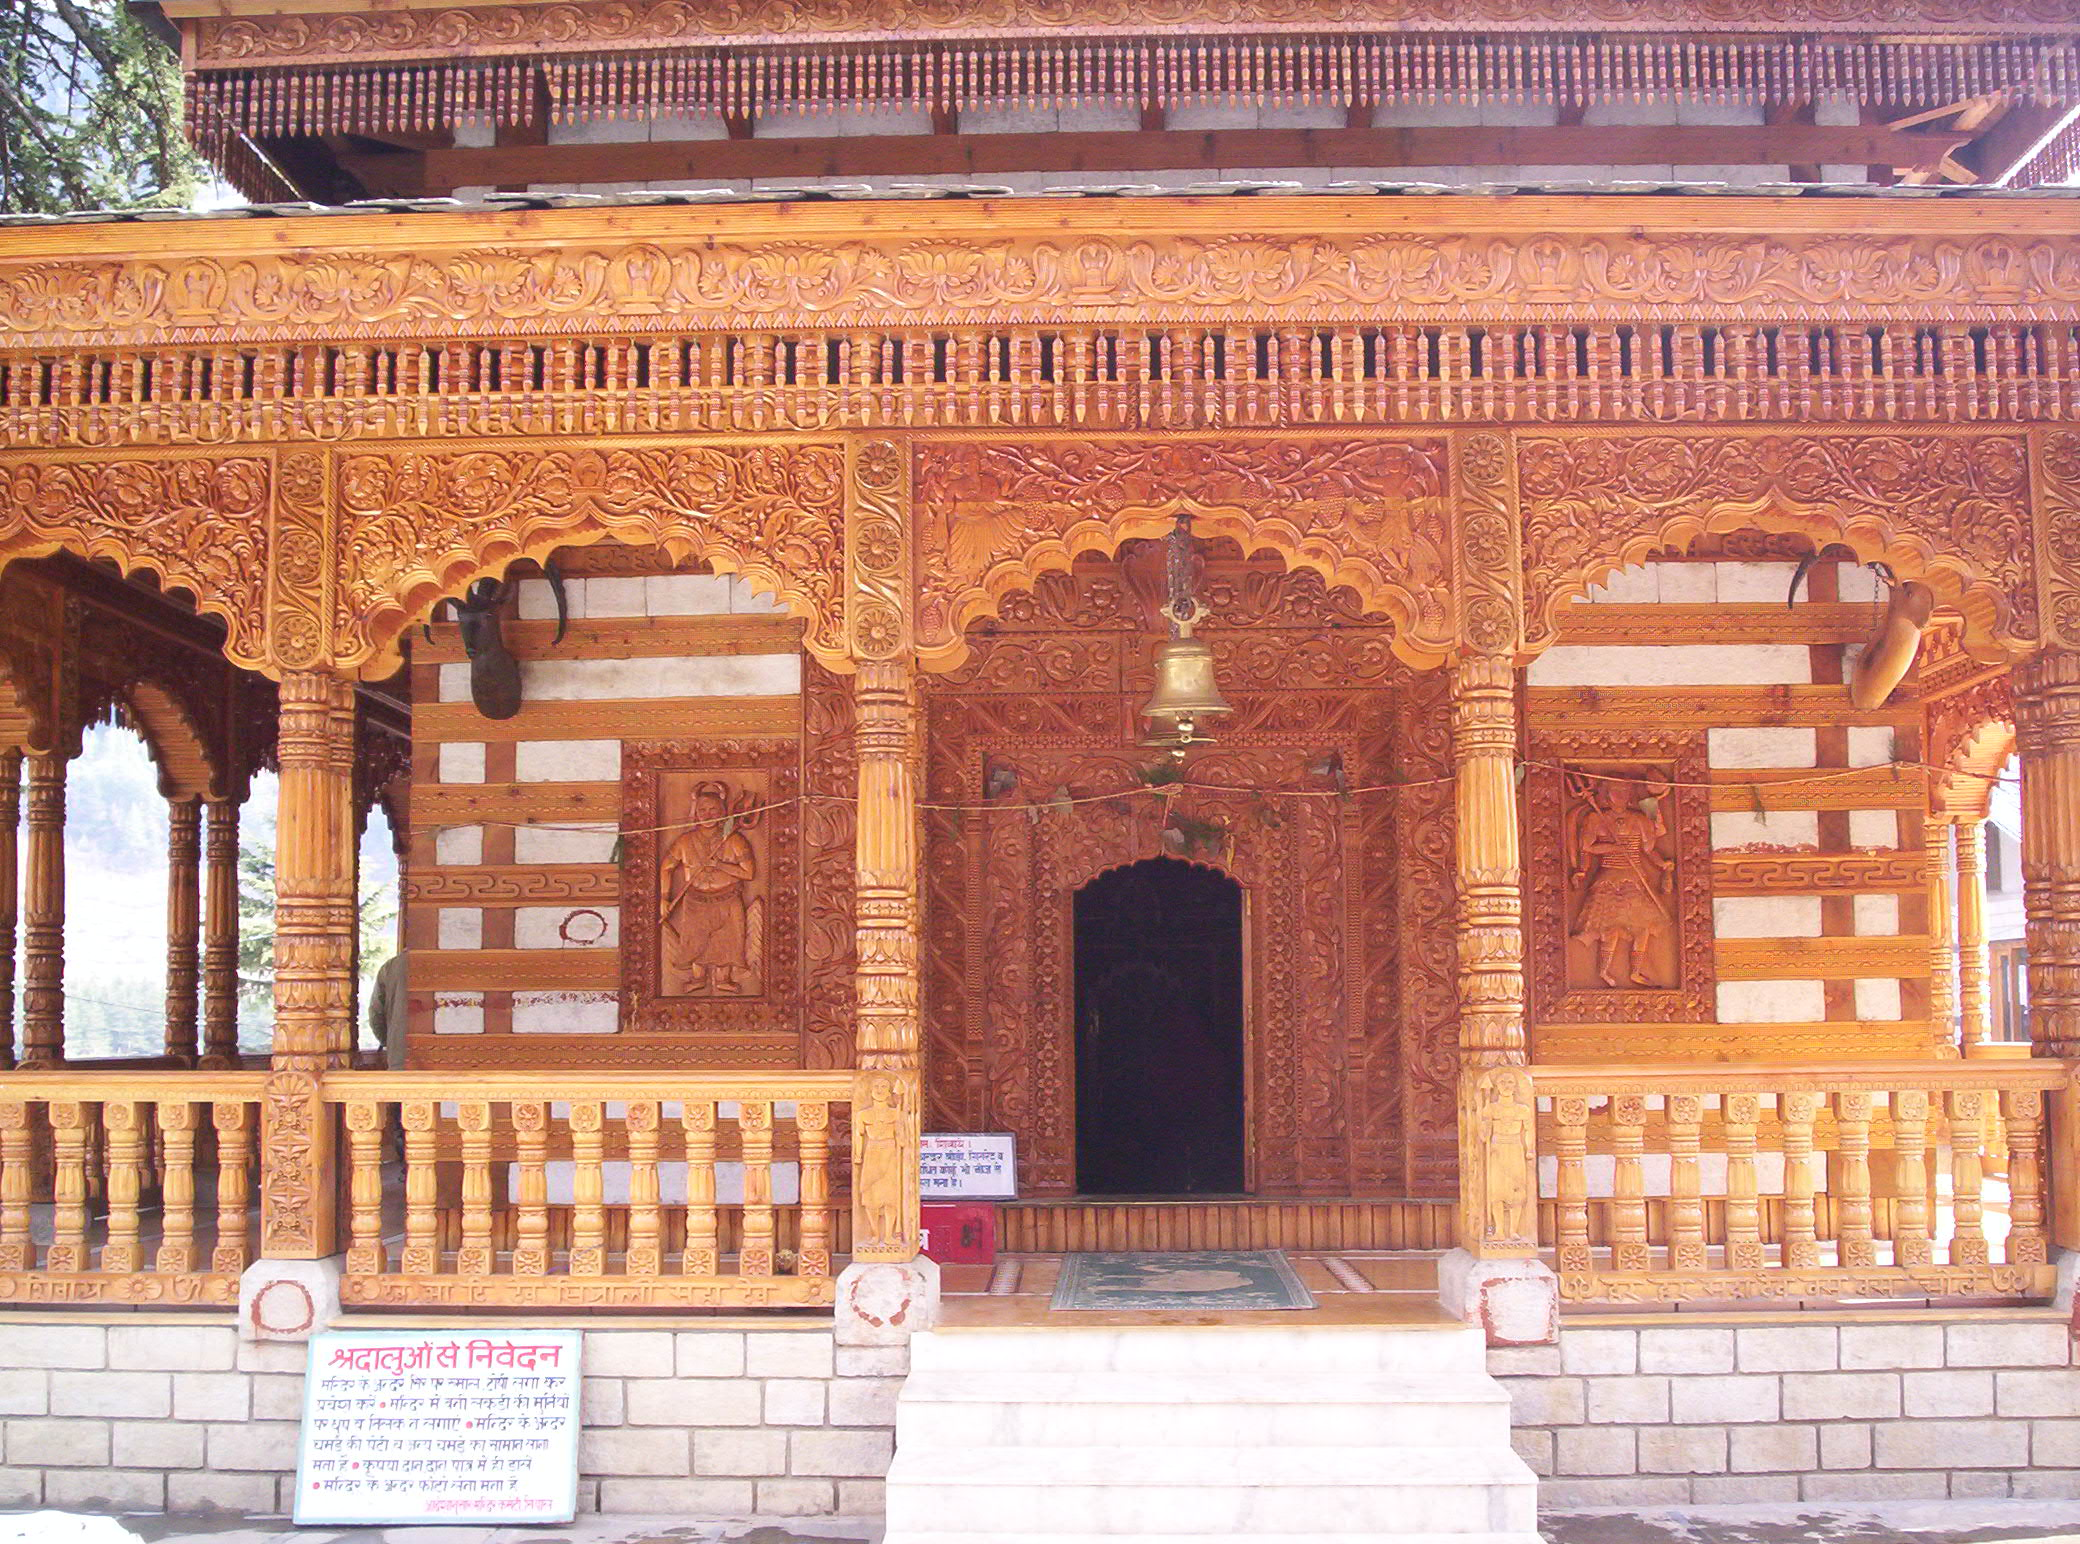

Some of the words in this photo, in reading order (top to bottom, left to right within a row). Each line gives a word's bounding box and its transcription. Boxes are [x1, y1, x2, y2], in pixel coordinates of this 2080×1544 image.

[329, 1337, 438, 1381] श्रदालुओं
[435, 1337, 461, 1372] से
[463, 1335, 566, 1375] निवेदन
[319, 1372, 359, 1395] मन्दिर
[356, 1370, 375, 1395] के
[369, 1377, 407, 1395] अन्दर
[483, 1369, 509, 1393] टोपी
[513, 1375, 542, 1393] लगा
[316, 1391, 354, 1413] प्रवेश
[387, 1389, 427, 1413] मन्दिर
[427, 1390, 442, 1415] मे
[443, 1389, 471, 1411] वती
[468, 1392, 515, 1414] लकडी
[509, 1389, 533, 1412] की
[529, 1389, 574, 1416] मुर्तिया
[309, 1417, 331, 1431] पर
[325, 1415, 354, 1440] धुप
[364, 1410, 409, 1433] तिलक
[422, 1412, 465, 1433] लगाएं
[471, 1409, 515, 1433] मन्दिर
[515, 1410, 533, 1432] के
[529, 1413, 568, 1433] अन्दर
[309, 1433, 346, 1455] घमंड
[343, 1431, 365, 1453] की
[363, 1433, 391, 1455] पेटी
[388, 1435, 406, 1452] व
[405, 1436, 435, 1455] अन्य
[433, 1432, 470, 1455] चमडे
[467, 1436, 489, 1455] का
[486, 1435, 525, 1454] सामान
[311, 1455, 337, 1472] मता
[333, 1453, 351, 1473] है
[361, 1455, 401, 1480] कृपया
[399, 1455, 425, 1476] दान
[423, 1457, 450, 1475] दान
[449, 1455, 477, 1474] पात्र
[475, 1453, 490, 1473] में
[487, 1452, 507, 1474] ही
[506, 1453, 535, 1473] डालें
[321, 1473, 363, 1493] मन्दिर
[365, 1472, 382, 1495] क‍े
[381, 1476, 417, 1495] अन्दर
[413, 1475, 451, 1495] फोटो
[451, 1473, 479, 1493] लेना
[475, 1477, 505, 1491] मना
[503, 1474, 522, 1494] हे